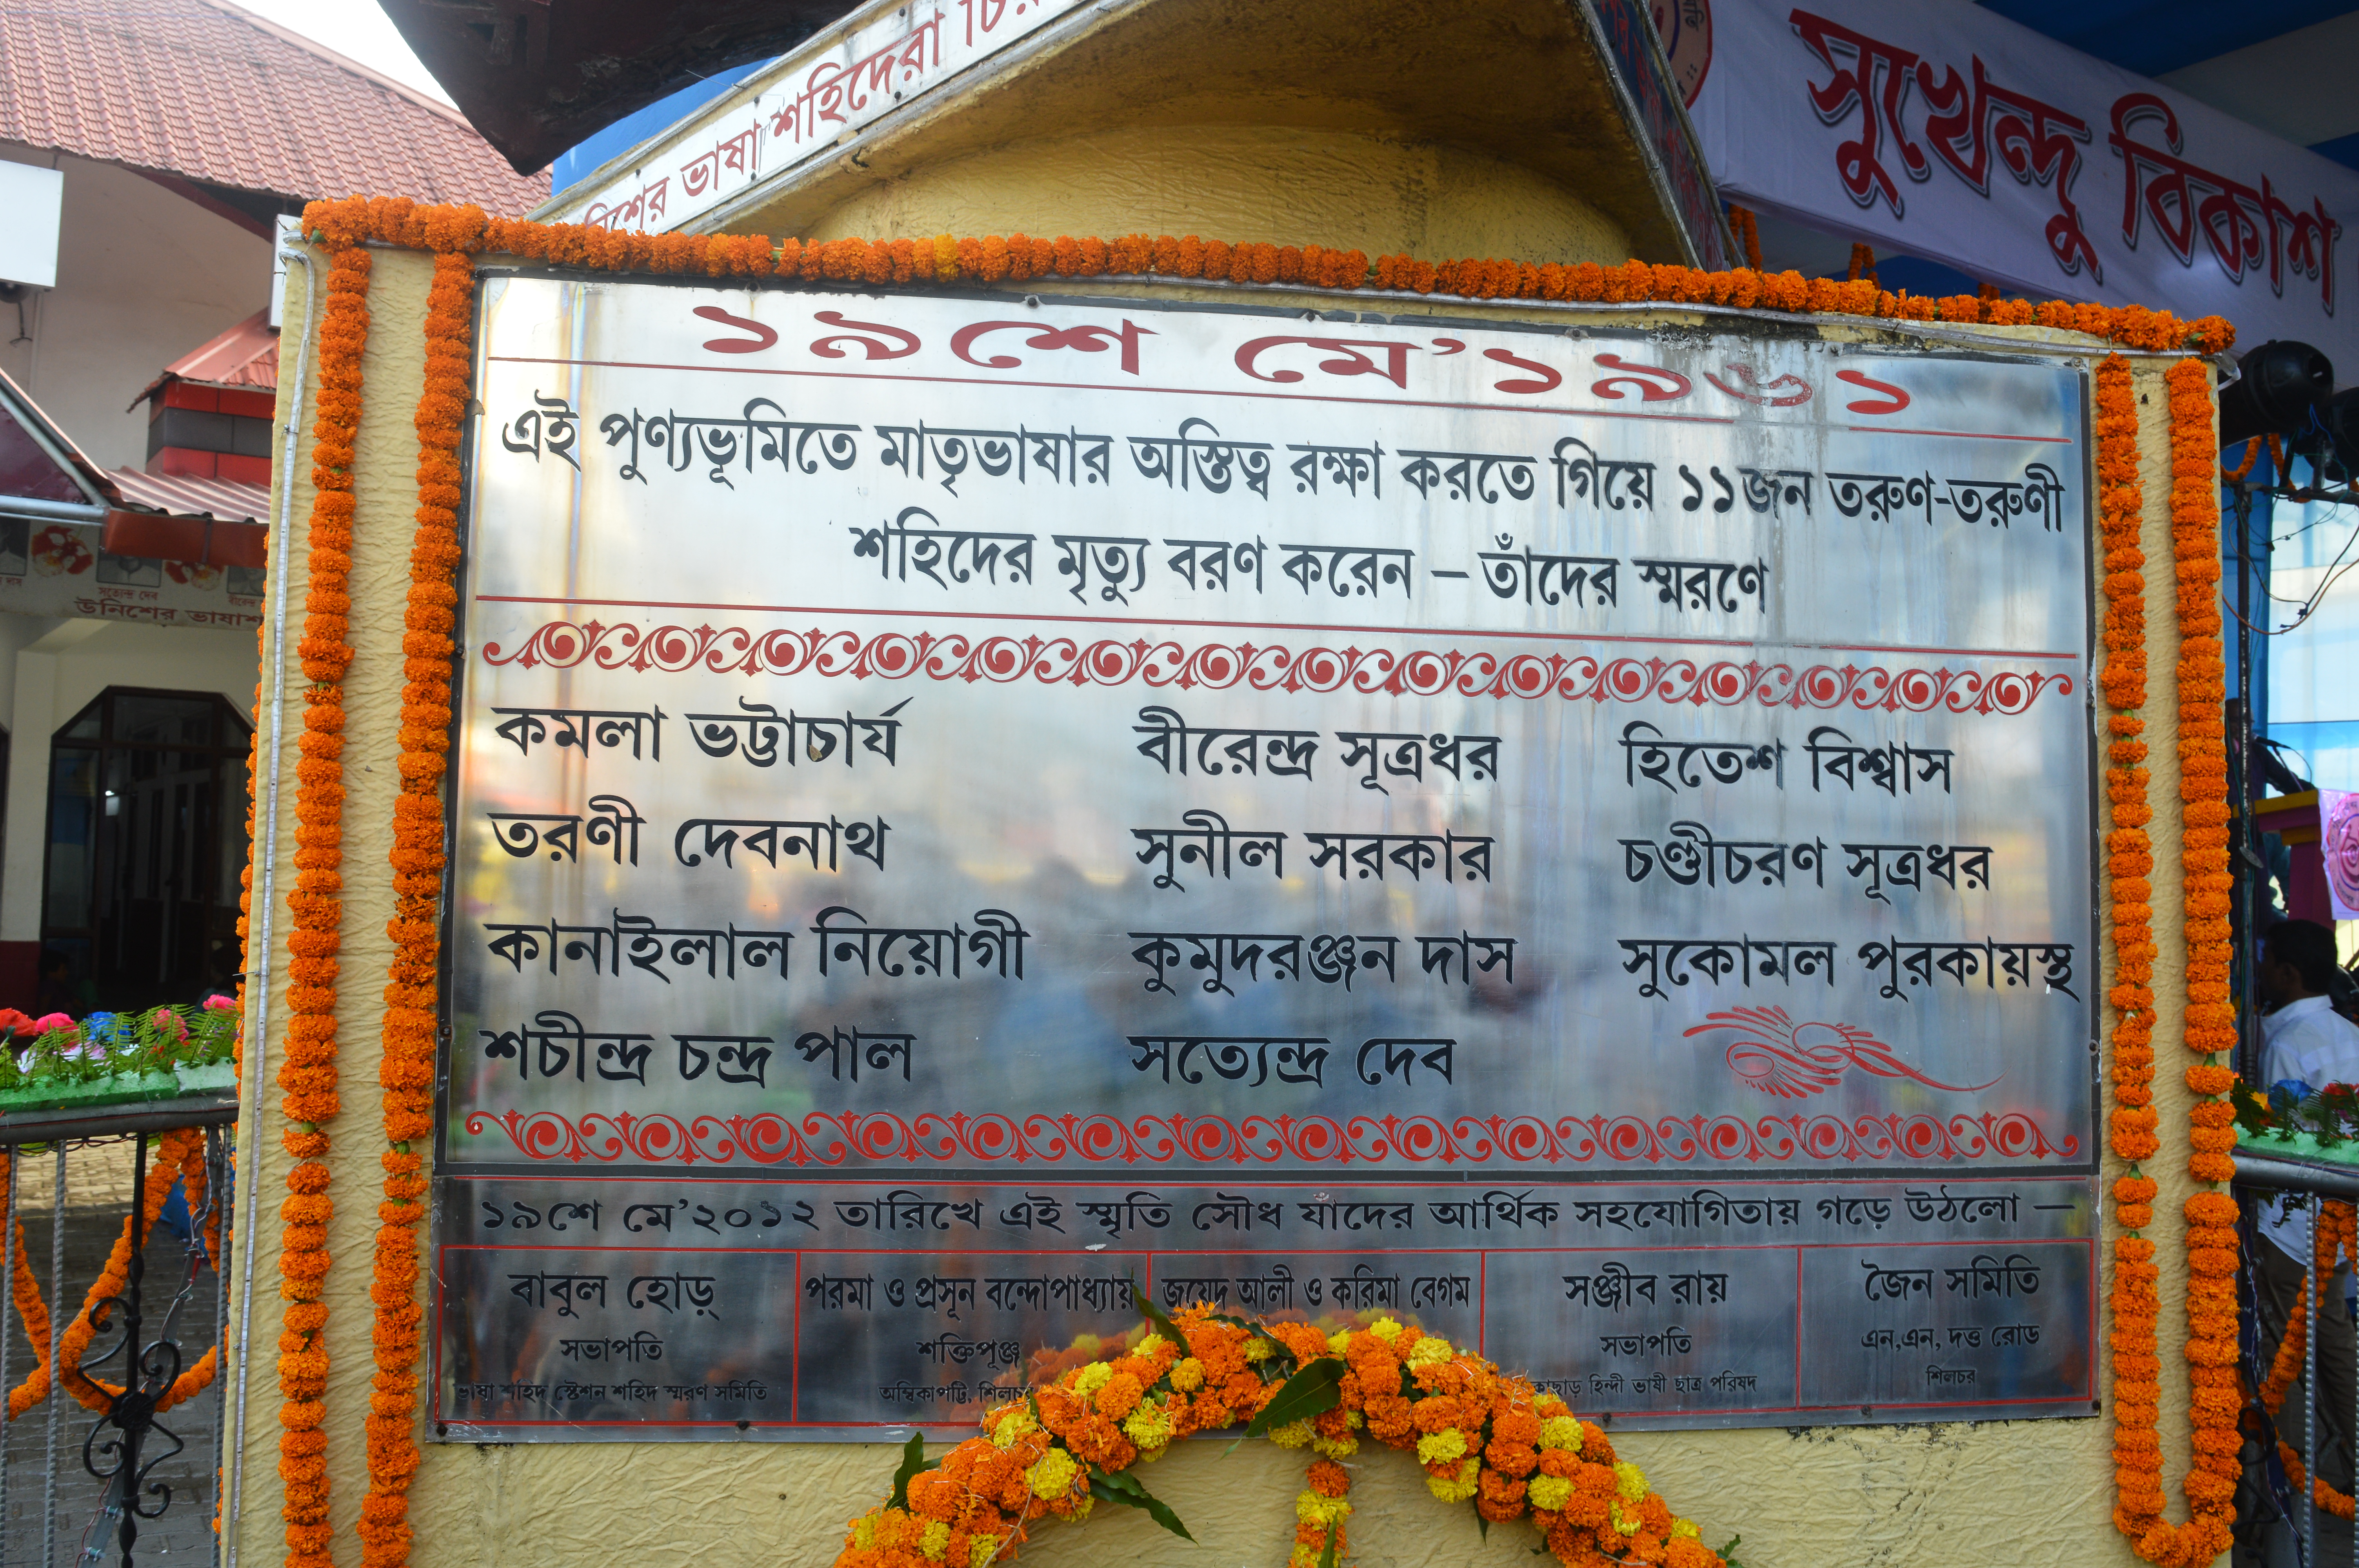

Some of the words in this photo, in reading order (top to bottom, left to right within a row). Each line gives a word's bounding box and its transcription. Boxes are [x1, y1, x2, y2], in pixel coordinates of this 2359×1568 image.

[765, 4, 947, 154] শহিদেরা
[674, 119, 764, 202] ভাষা
[1783, 4, 2114, 284] সুখেন্দু
[2092, 81, 2344, 317] বিকাশ
[691, 302, 1158, 376] ১৯শে
[1226, 330, 1918, 420] মে'১৯৬১
[495, 386, 586, 481] এই
[600, 392, 857, 486] পুণ্যভূমিতে
[874, 416, 1119, 502] মাতৃভাষার
[1121, 413, 1278, 503] অস্তিত্ব
[1285, 437, 1390, 501] রক্ষা
[1399, 446, 1543, 510] করতে
[1543, 429, 1662, 516] গিয়ে
[1677, 460, 1817, 520] ১১জন
[1823, 464, 1945, 528] তরুণ
[1936, 462, 2066, 539] তরুণী
[838, 498, 1039, 591] শহিদের
[1045, 526, 1150, 607] মৃত্যু
[1158, 532, 1273, 597] বরণ
[1278, 539, 1419, 605] করেন
[1463, 529, 1626, 611] তাঁদের
[1630, 554, 1772, 621] স্মরণ
[486, 699, 671, 767] কমলা
[681, 693, 918, 771] ভট্টাচার্য
[1125, 700, 1323, 784] বীরেন্দ্র
[1337, 728, 1505, 797] সূত্রধর
[1617, 720, 1786, 793] হিতেশ
[1799, 724, 1959, 799] বিশ্বাস
[486, 787, 651, 869] তরণী
[671, 812, 894, 874] দেবনাথ
[1124, 803, 1290, 898] সুনীল
[1299, 827, 1503, 885] সরকার
[1612, 816, 1834, 889] চণ্ডীচরণ
[1838, 838, 1995, 912] সূত্রধর
[478, 898, 797, 984] কানাইলাল
[803, 898, 1038, 982] নিয়োগী
[1125, 927, 1402, 1001] কুমুদরঞ্জন
[1407, 922, 1519, 992] দাস
[1616, 927, 1841, 1007] সুকোমল
[1854, 925, 2080, 1007] পুরকায়স্থ
[472, 1004, 658, 1088] শচীন্দ্ৰ
[672, 1029, 777, 1092] চন্দ্ৰ
[790, 1020, 916, 1089] পাল
[1123, 1033, 1339, 1091] সত্যেন্দ্ৰ
[1351, 1026, 1458, 1091] দেব
[470, 1189, 605, 1238] ১৯শে
[622, 1195, 815, 1236] মে'২০১২
[829, 1186, 990, 1234] তারিখে
[994, 1184, 1070, 1241] এই
[1074, 1185, 1173, 1240] স্মৃতি
[1189, 1188, 1293, 1236] সৌধ
[1295, 1186, 1418, 1232] যাঁদের
[1427, 1185, 1565, 1231] আৰ্থিক
[1565, 1187, 1806, 1234] সহযোগিতায়
[1814, 1189, 1894, 1234] গড়ে
[1895, 1178, 2022, 1229] উঠলো
[505, 1263, 613, 1328] বাবুল
[623, 1263, 723, 1322] হোড়
[802, 1268, 878, 1316] পরমা
[881, 1271, 914, 1312] ও
[907, 1269, 980, 1330] প্ৰসূন
[983, 1265, 1139, 1319] বন্দোপাধ্যায়
[1156, 1261, 1234, 1316] জয়েদ
[1234, 1256, 1301, 1317] আলী
[1296, 1268, 1327, 1312] ও
[1327, 1255, 1408, 1317] করিমা
[1405, 1272, 1470, 1310] বেগম
[1558, 1254, 1666, 1316] সঞ্জীব
[1664, 1270, 1729, 1314] রায়
[1853, 1250, 1941, 1308] জৈন
[1941, 1247, 2048, 1306] সমিতি
[451, 1379, 500, 1406] ভাষা
[496, 1375, 553, 1407] শহিদ
[550, 1373, 612, 1409] স্টেশন
[556, 1324, 667, 1367] সভাপতি
[608, 1374, 663, 1408] শহিদ
[662, 1377, 715, 1405] স্মরণ
[707, 1374, 773, 1404] সমিতি
[875, 1373, 974, 1409] অম্বিকাপট্টি,
[907, 1325, 1027, 1373] শক্তিপূঞ্জ
[973, 1375, 1028, 1401] শিলচ
[1581, 1367, 1629, 1401] হিন্দী
[1594, 1325, 1691, 1361] সভাপতি
[1630, 1363, 1671, 1402] ভাষী
[1668, 1367, 1707, 1401] ছাত্ৰ
[1700, 1366, 1764, 1401] পরিষদ
[1858, 1321, 1936, 1355] এন,এন
[1921, 1352, 1980, 1389] শিলচর
[1945, 1317, 1988, 1354] দত্ত
[1983, 1316, 2046, 1352] রোড